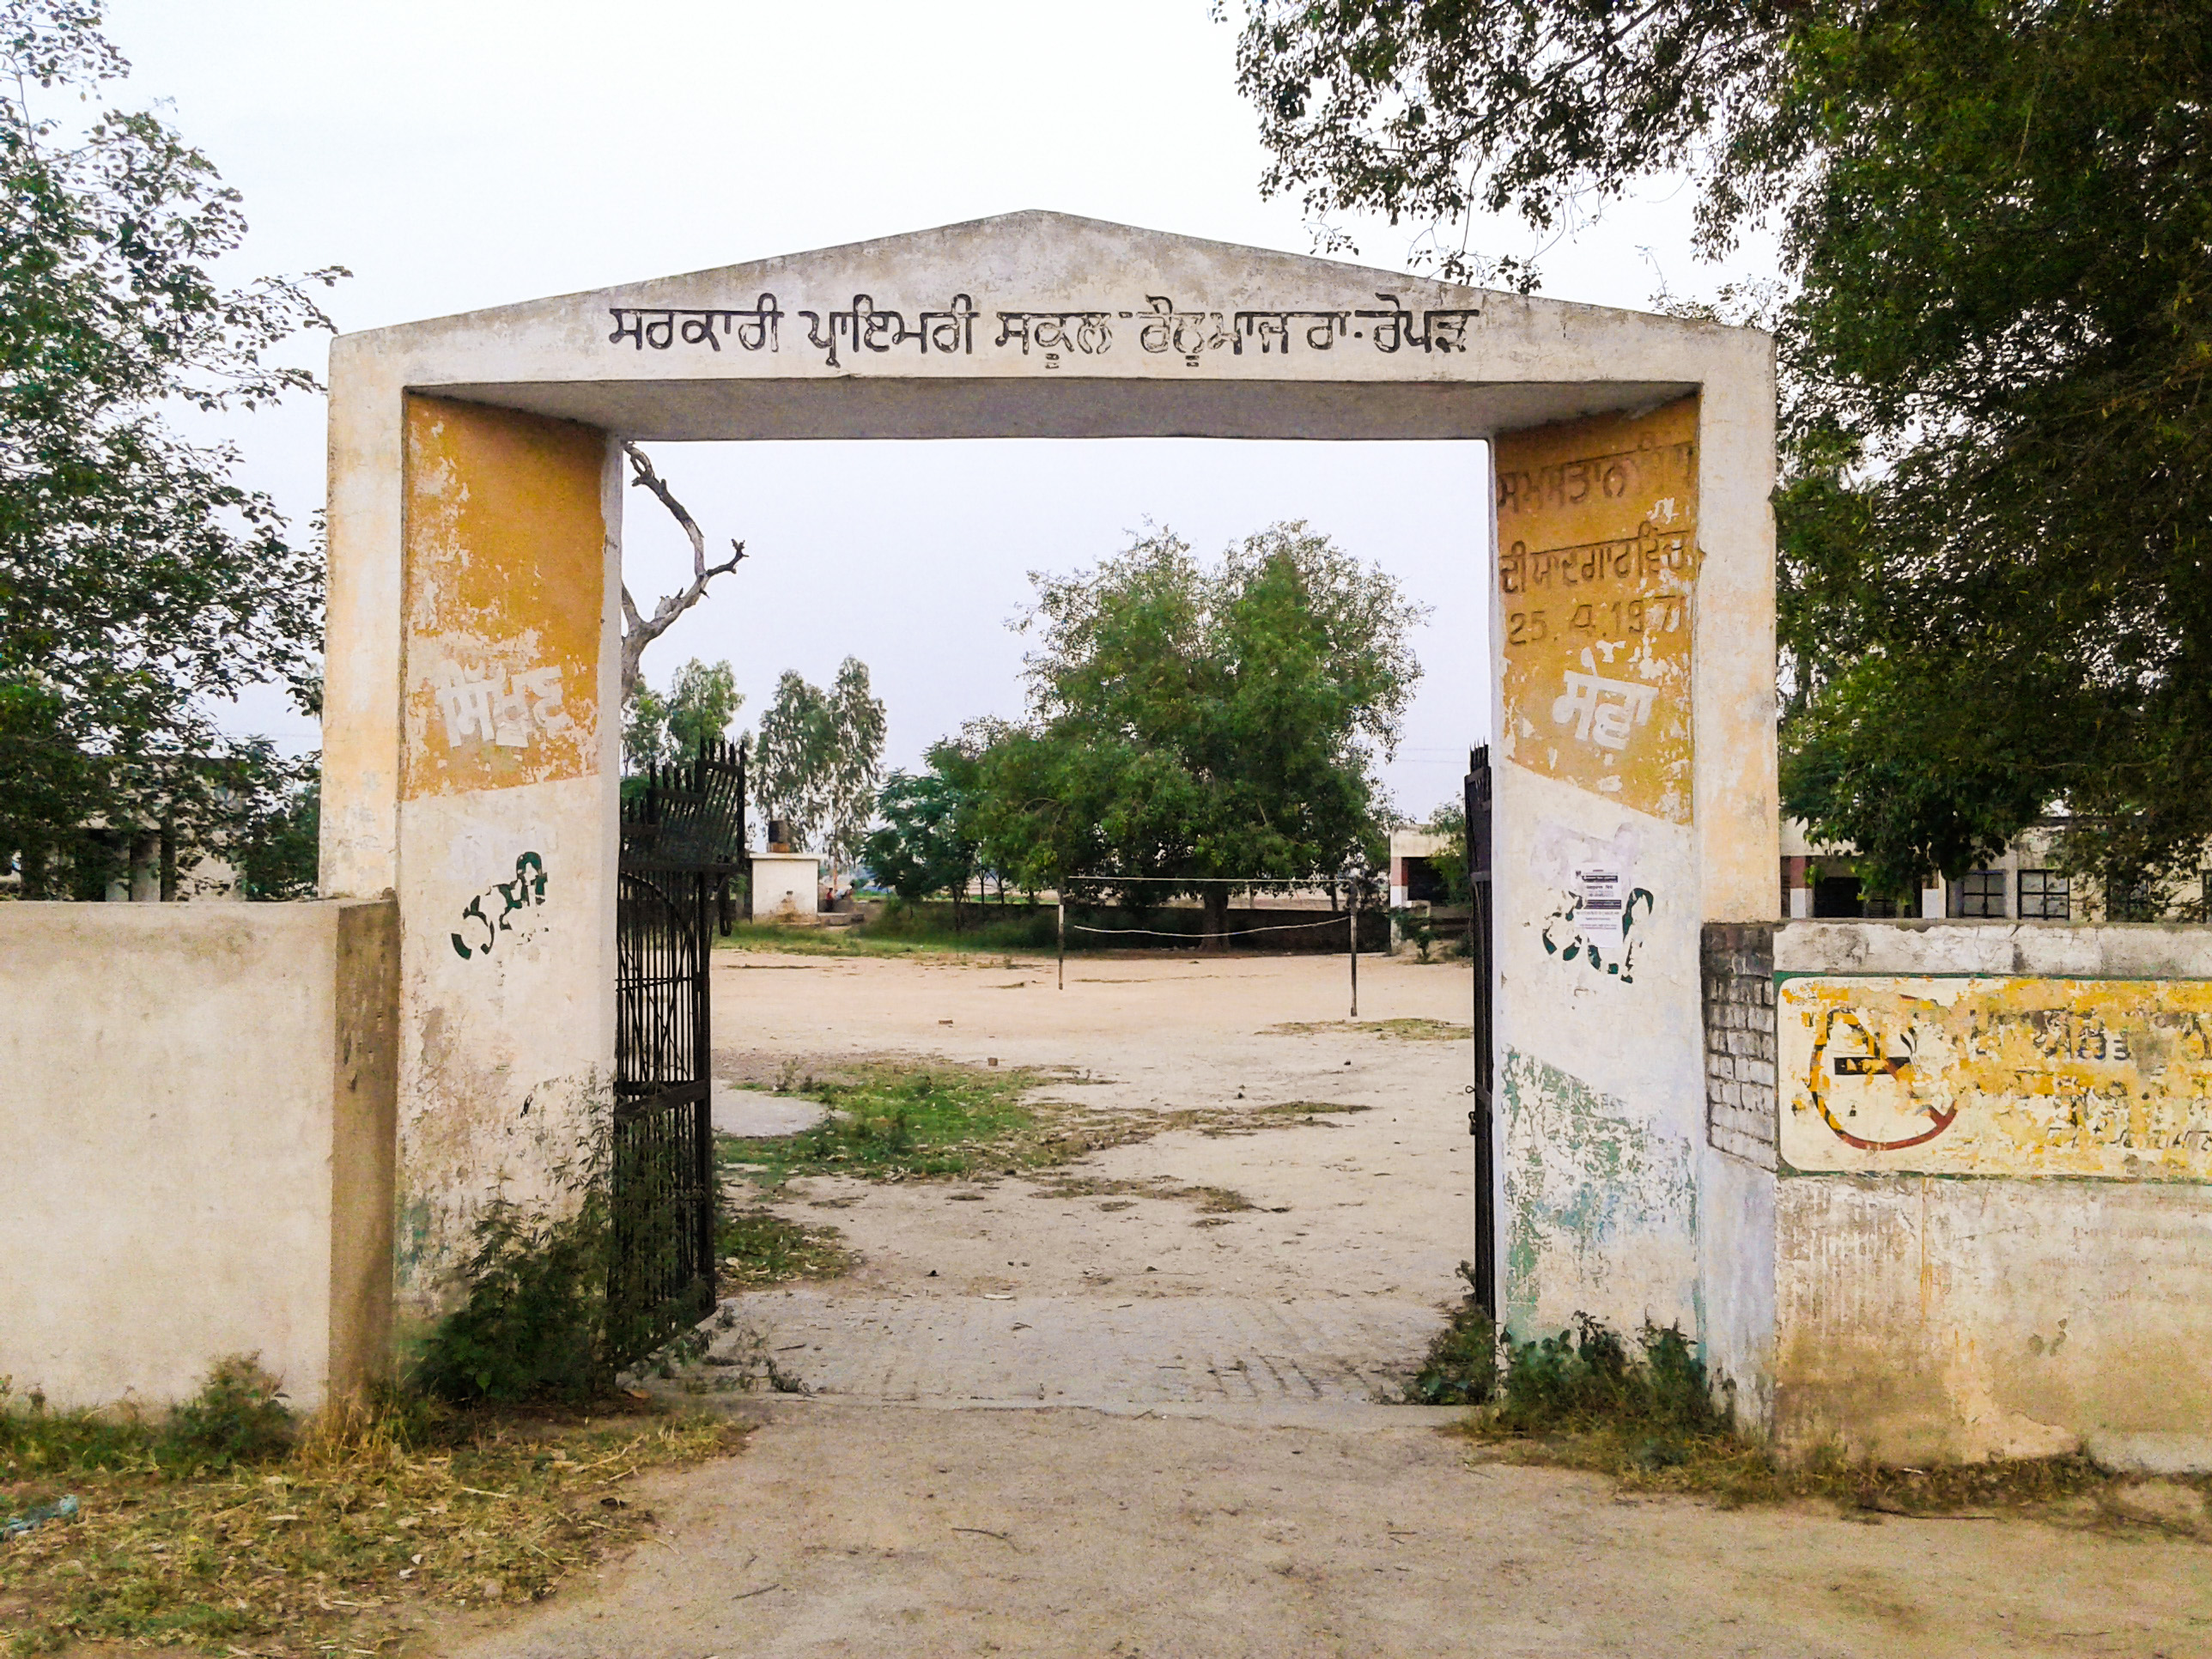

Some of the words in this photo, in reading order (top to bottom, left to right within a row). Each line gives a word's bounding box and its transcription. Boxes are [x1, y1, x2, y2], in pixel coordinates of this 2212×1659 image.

[588, 284, 794, 357] ਸਰਕਾਰੀ
[793, 286, 987, 373] ਪ੍ਰਾਇਮਰੀ
[983, 297, 1117, 374] ਸਕੂਲ
[1115, 290, 1353, 373] ਰੰਨੂਮਾਜਰਾ
[1352, 289, 1482, 368] ਰੋਪੜ
[1488, 535, 1529, 603] ਦੀ
[1528, 516, 1695, 595] ਯਾਦਗਾਰਵਿਚ
[1499, 586, 1694, 657] 25.4.1971
[1534, 642, 1669, 762] ਸੇਵਾ